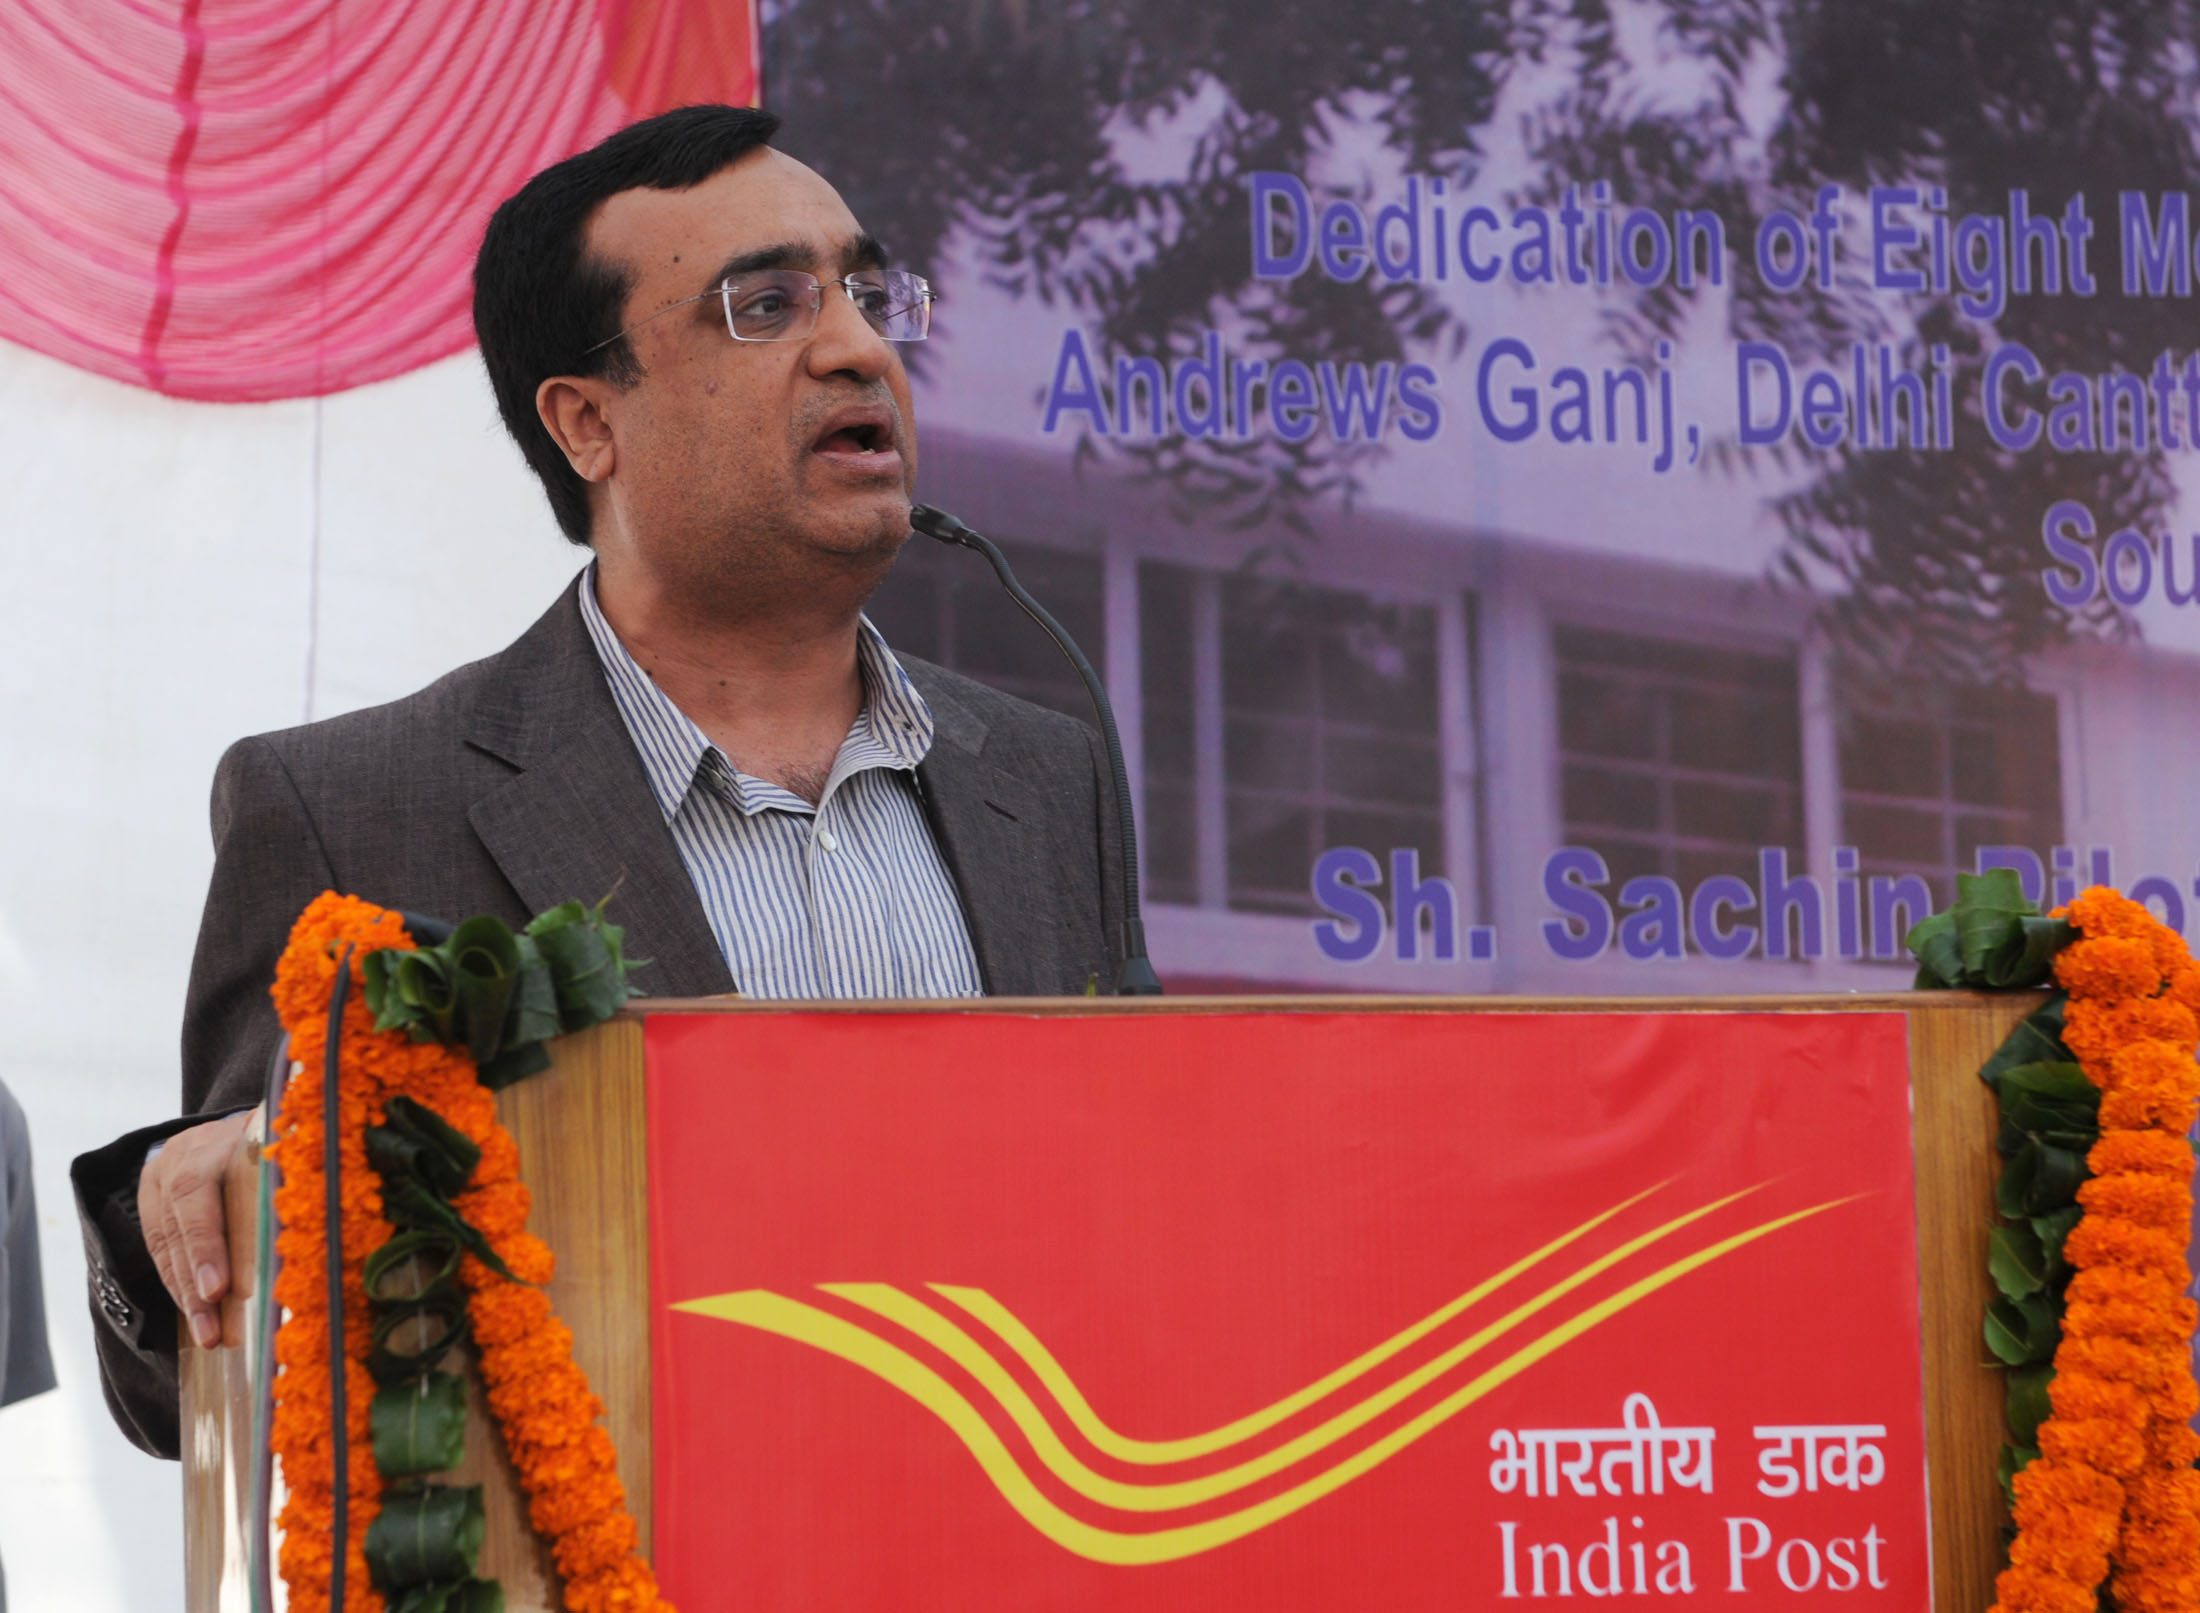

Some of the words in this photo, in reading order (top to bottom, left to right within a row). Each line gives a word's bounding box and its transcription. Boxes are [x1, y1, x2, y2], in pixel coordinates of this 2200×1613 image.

[1240, 167, 1734, 293] Dedication
[1744, 170, 1845, 303] of
[1867, 181, 2105, 327] Eight
[2114, 175, 2200, 309] M
[1031, 318, 1448, 456] Andrews
[1471, 333, 1682, 481] Ganj
[1717, 322, 1979, 465] Delhi
[1968, 333, 2200, 465] Cantt
[2026, 478, 2200, 620] Sou
[1302, 833, 1504, 975] Sh.
[1538, 835, 1940, 971] Sachin
[1476, 1392, 1714, 1506] भारतीय
[1746, 1403, 1890, 1511] डाक
[1490, 1508, 1701, 1607] India
[1722, 1518, 1894, 1601] Post